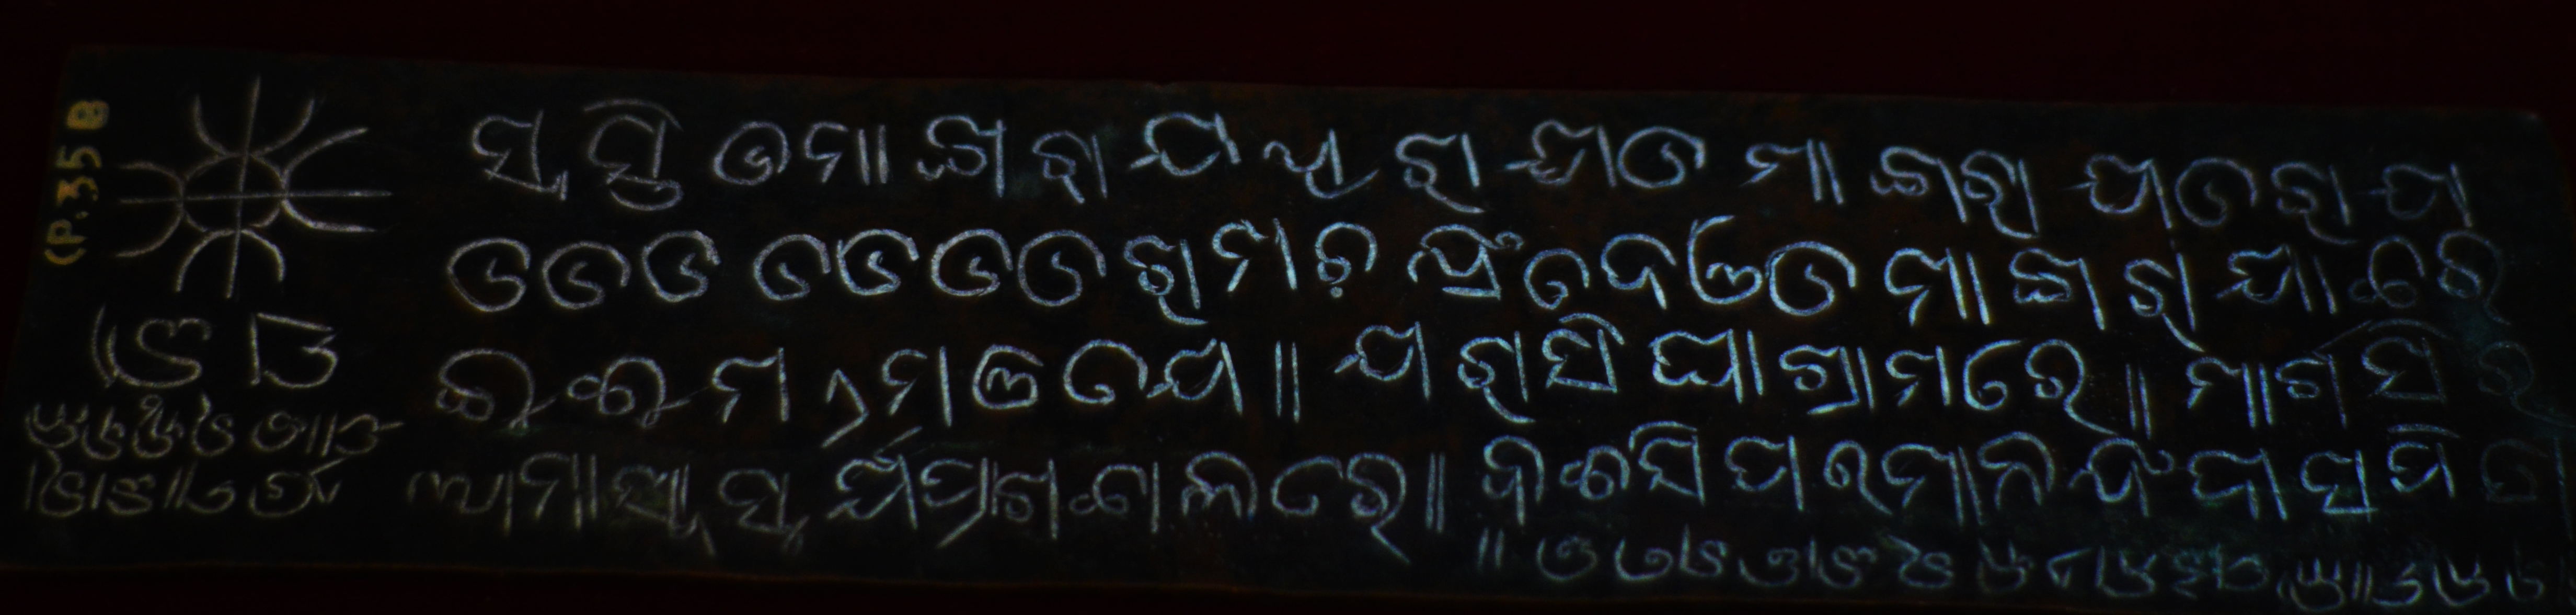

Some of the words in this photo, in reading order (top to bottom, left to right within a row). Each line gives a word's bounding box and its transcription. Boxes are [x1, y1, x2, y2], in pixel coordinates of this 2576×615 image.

[467, 90, 692, 220] ପପ୍ତି